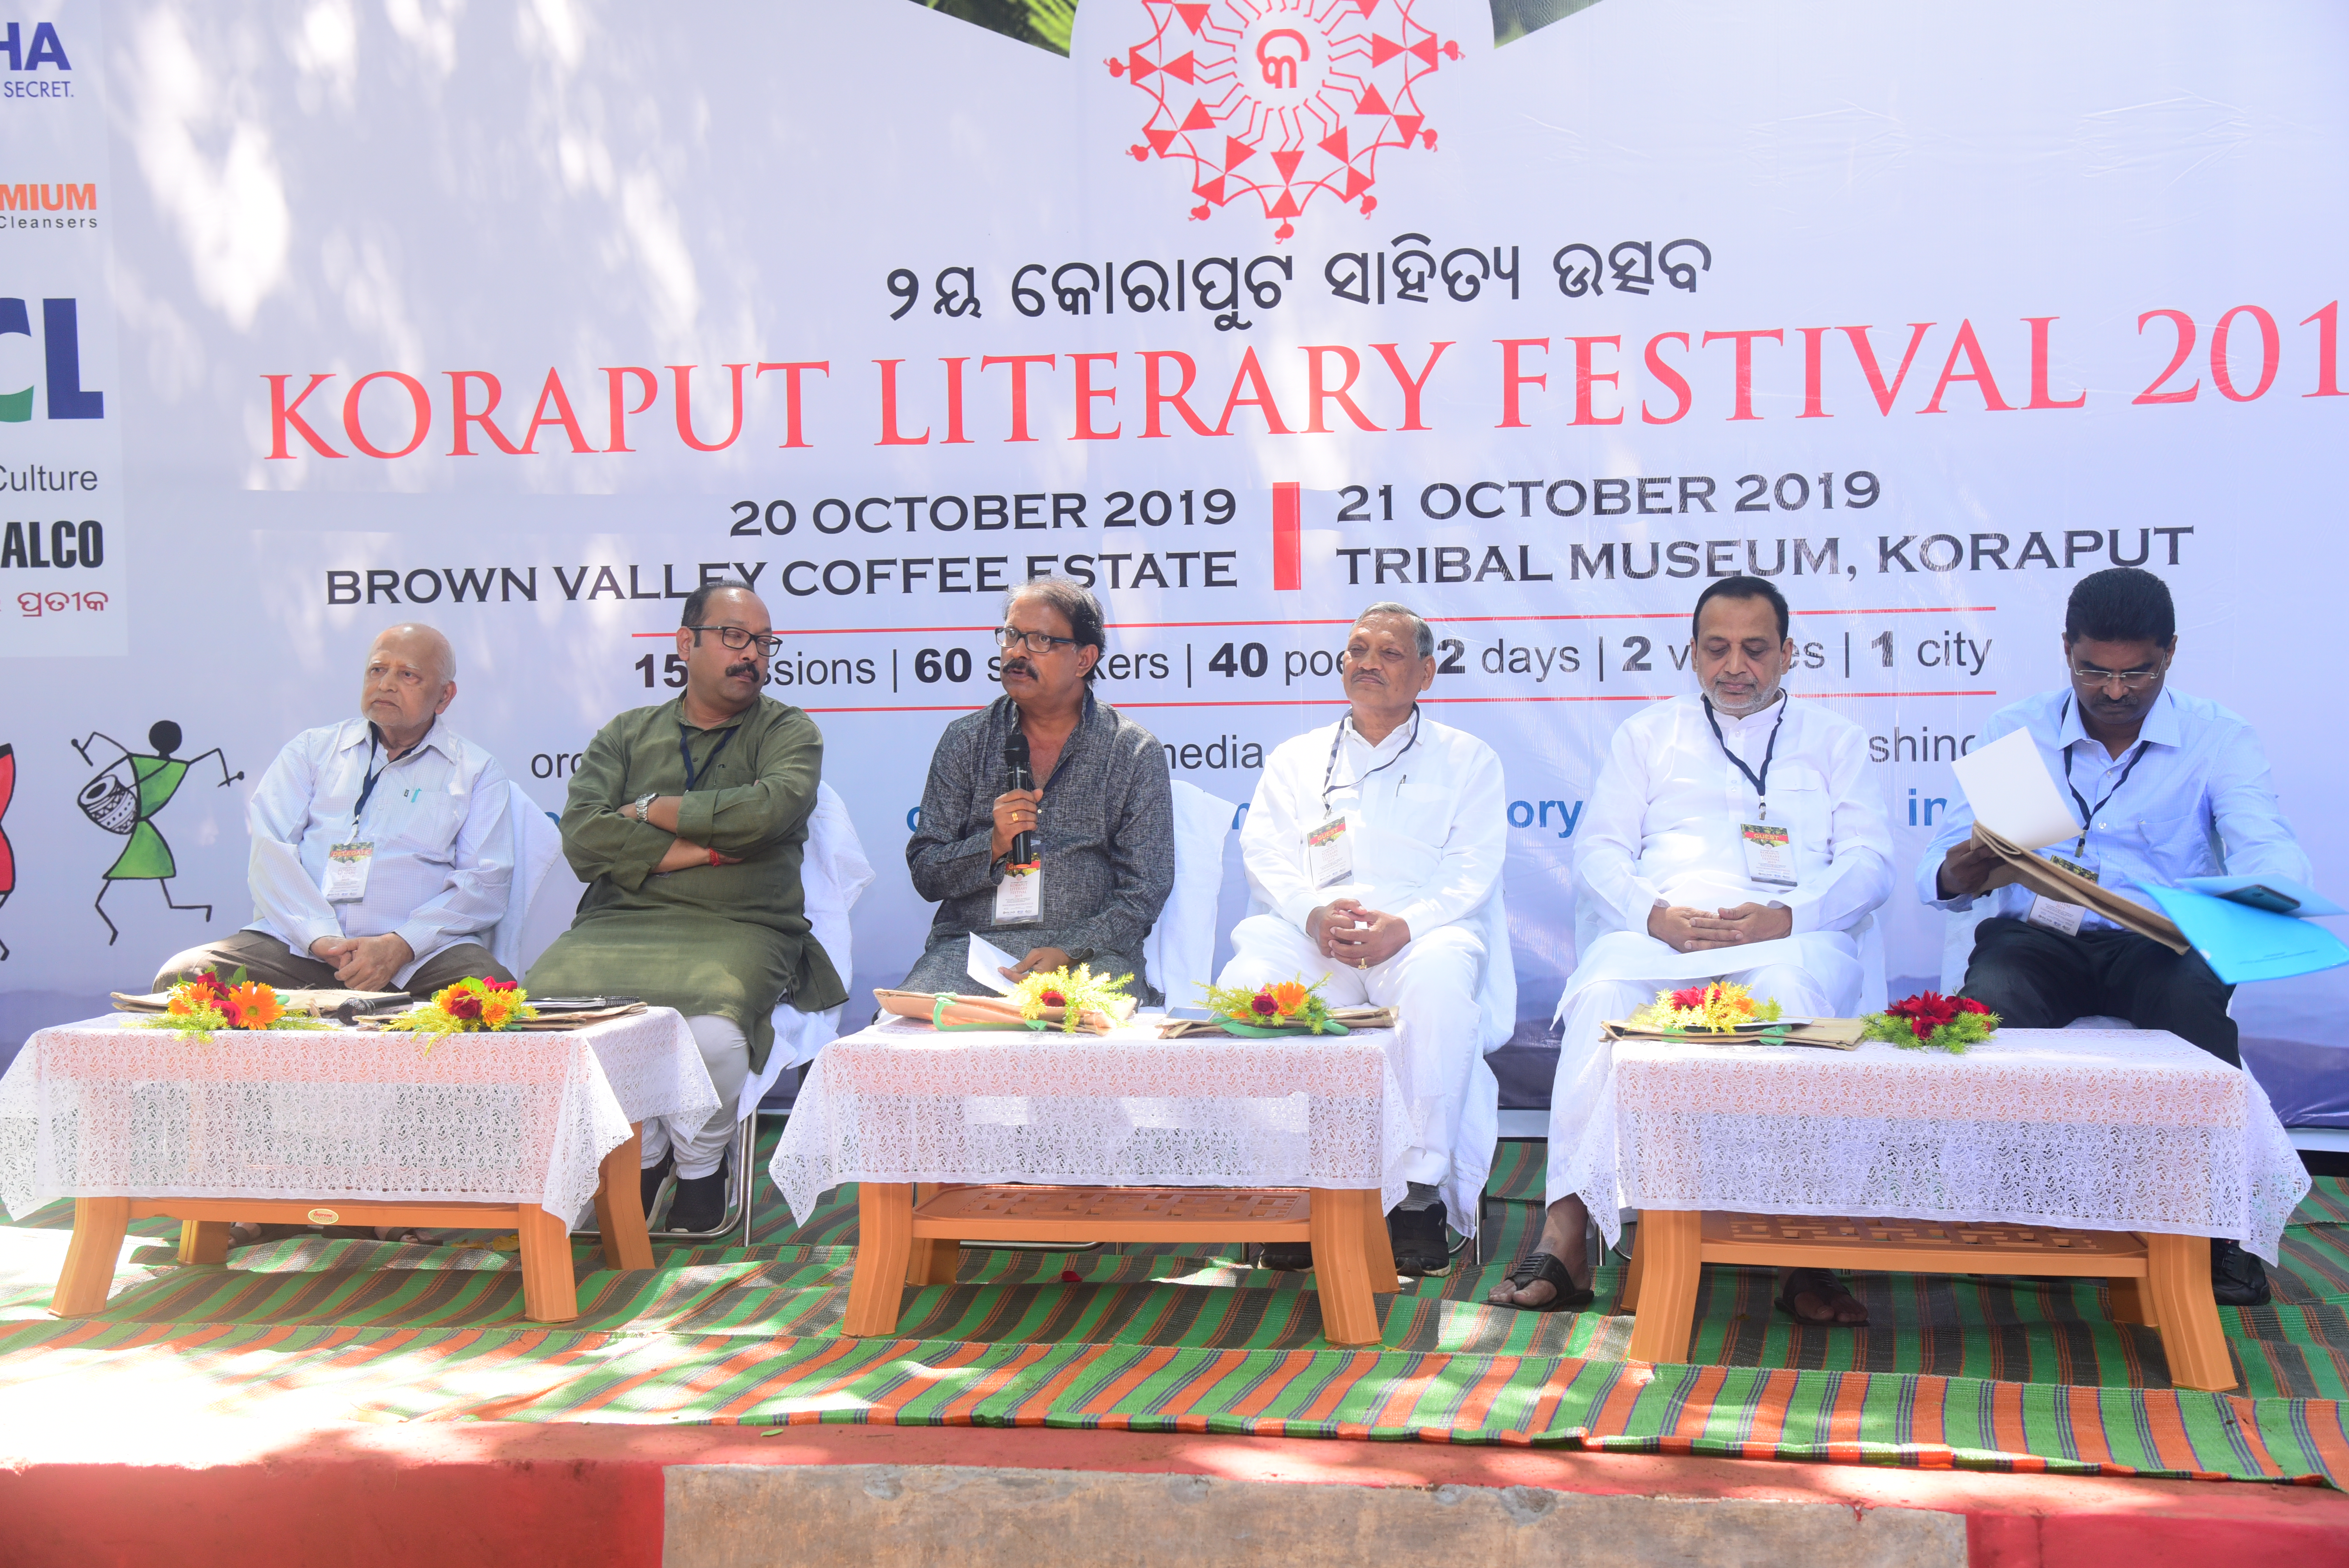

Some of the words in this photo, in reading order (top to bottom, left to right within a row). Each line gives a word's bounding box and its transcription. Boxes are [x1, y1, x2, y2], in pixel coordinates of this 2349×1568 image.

[1, 77, 78, 103] SECRET.
[1, 211, 101, 232] Cleansers
[0, 179, 105, 215] MIUM
[875, 260, 988, 335] ୨ୟ
[1007, 248, 1299, 339] କୋରାପୁଟ
[1549, 234, 1719, 302] ଉତ୍ସବ
[260, 357, 831, 466] KORAPUT
[868, 335, 1460, 452] LITERARY
[1492, 313, 2094, 435] FESTIVAL
[0, 454, 101, 499] Culture
[0, 509, 107, 577] ALCO
[17, 583, 116, 623] ପ୍ରତୀକ
[320, 564, 544, 608] BROWN
[551, 558, 772, 608] VALLEY
[719, 488, 801, 547] 20
[780, 551, 1011, 601] COFFEE
[807, 490, 1093, 542] OCTOBER
[1024, 547, 1242, 597] ESTATE
[1098, 480, 1242, 536] 2019
[1328, 471, 1399, 526] 21
[1336, 540, 1557, 590] TRIBAL
[1417, 474, 1720, 529] OCTOBER
[1564, 534, 1842, 588] MUSEUM
[1731, 465, 1889, 519] 2019
[1869, 519, 2198, 579] KORAPUT
[631, 641, 694, 699] 15
[772, 648, 877, 692] sions
[910, 637, 977, 692] 60
[1204, 635, 1271, 684] 40
[1478, 630, 1582, 689] days
[1607, 633, 1657, 677] 2
[1915, 624, 1993, 677] city
[1160, 731, 1267, 772] nedia
[1864, 720, 1978, 765] shinc
[1503, 796, 1589, 843] ory